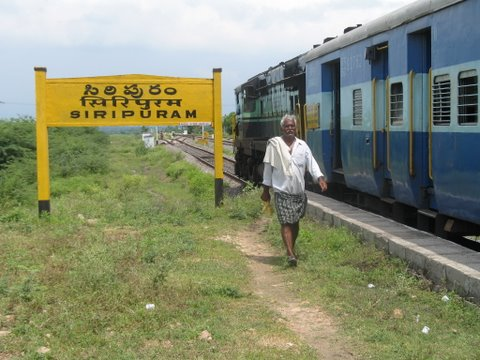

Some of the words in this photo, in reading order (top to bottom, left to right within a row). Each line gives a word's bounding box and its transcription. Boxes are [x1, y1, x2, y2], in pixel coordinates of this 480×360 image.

[71, 87, 185, 115] सिरिपुरम
[79, 74, 182, 101] సిరి పురం
[65, 105, 199, 121] SIRIPURAM